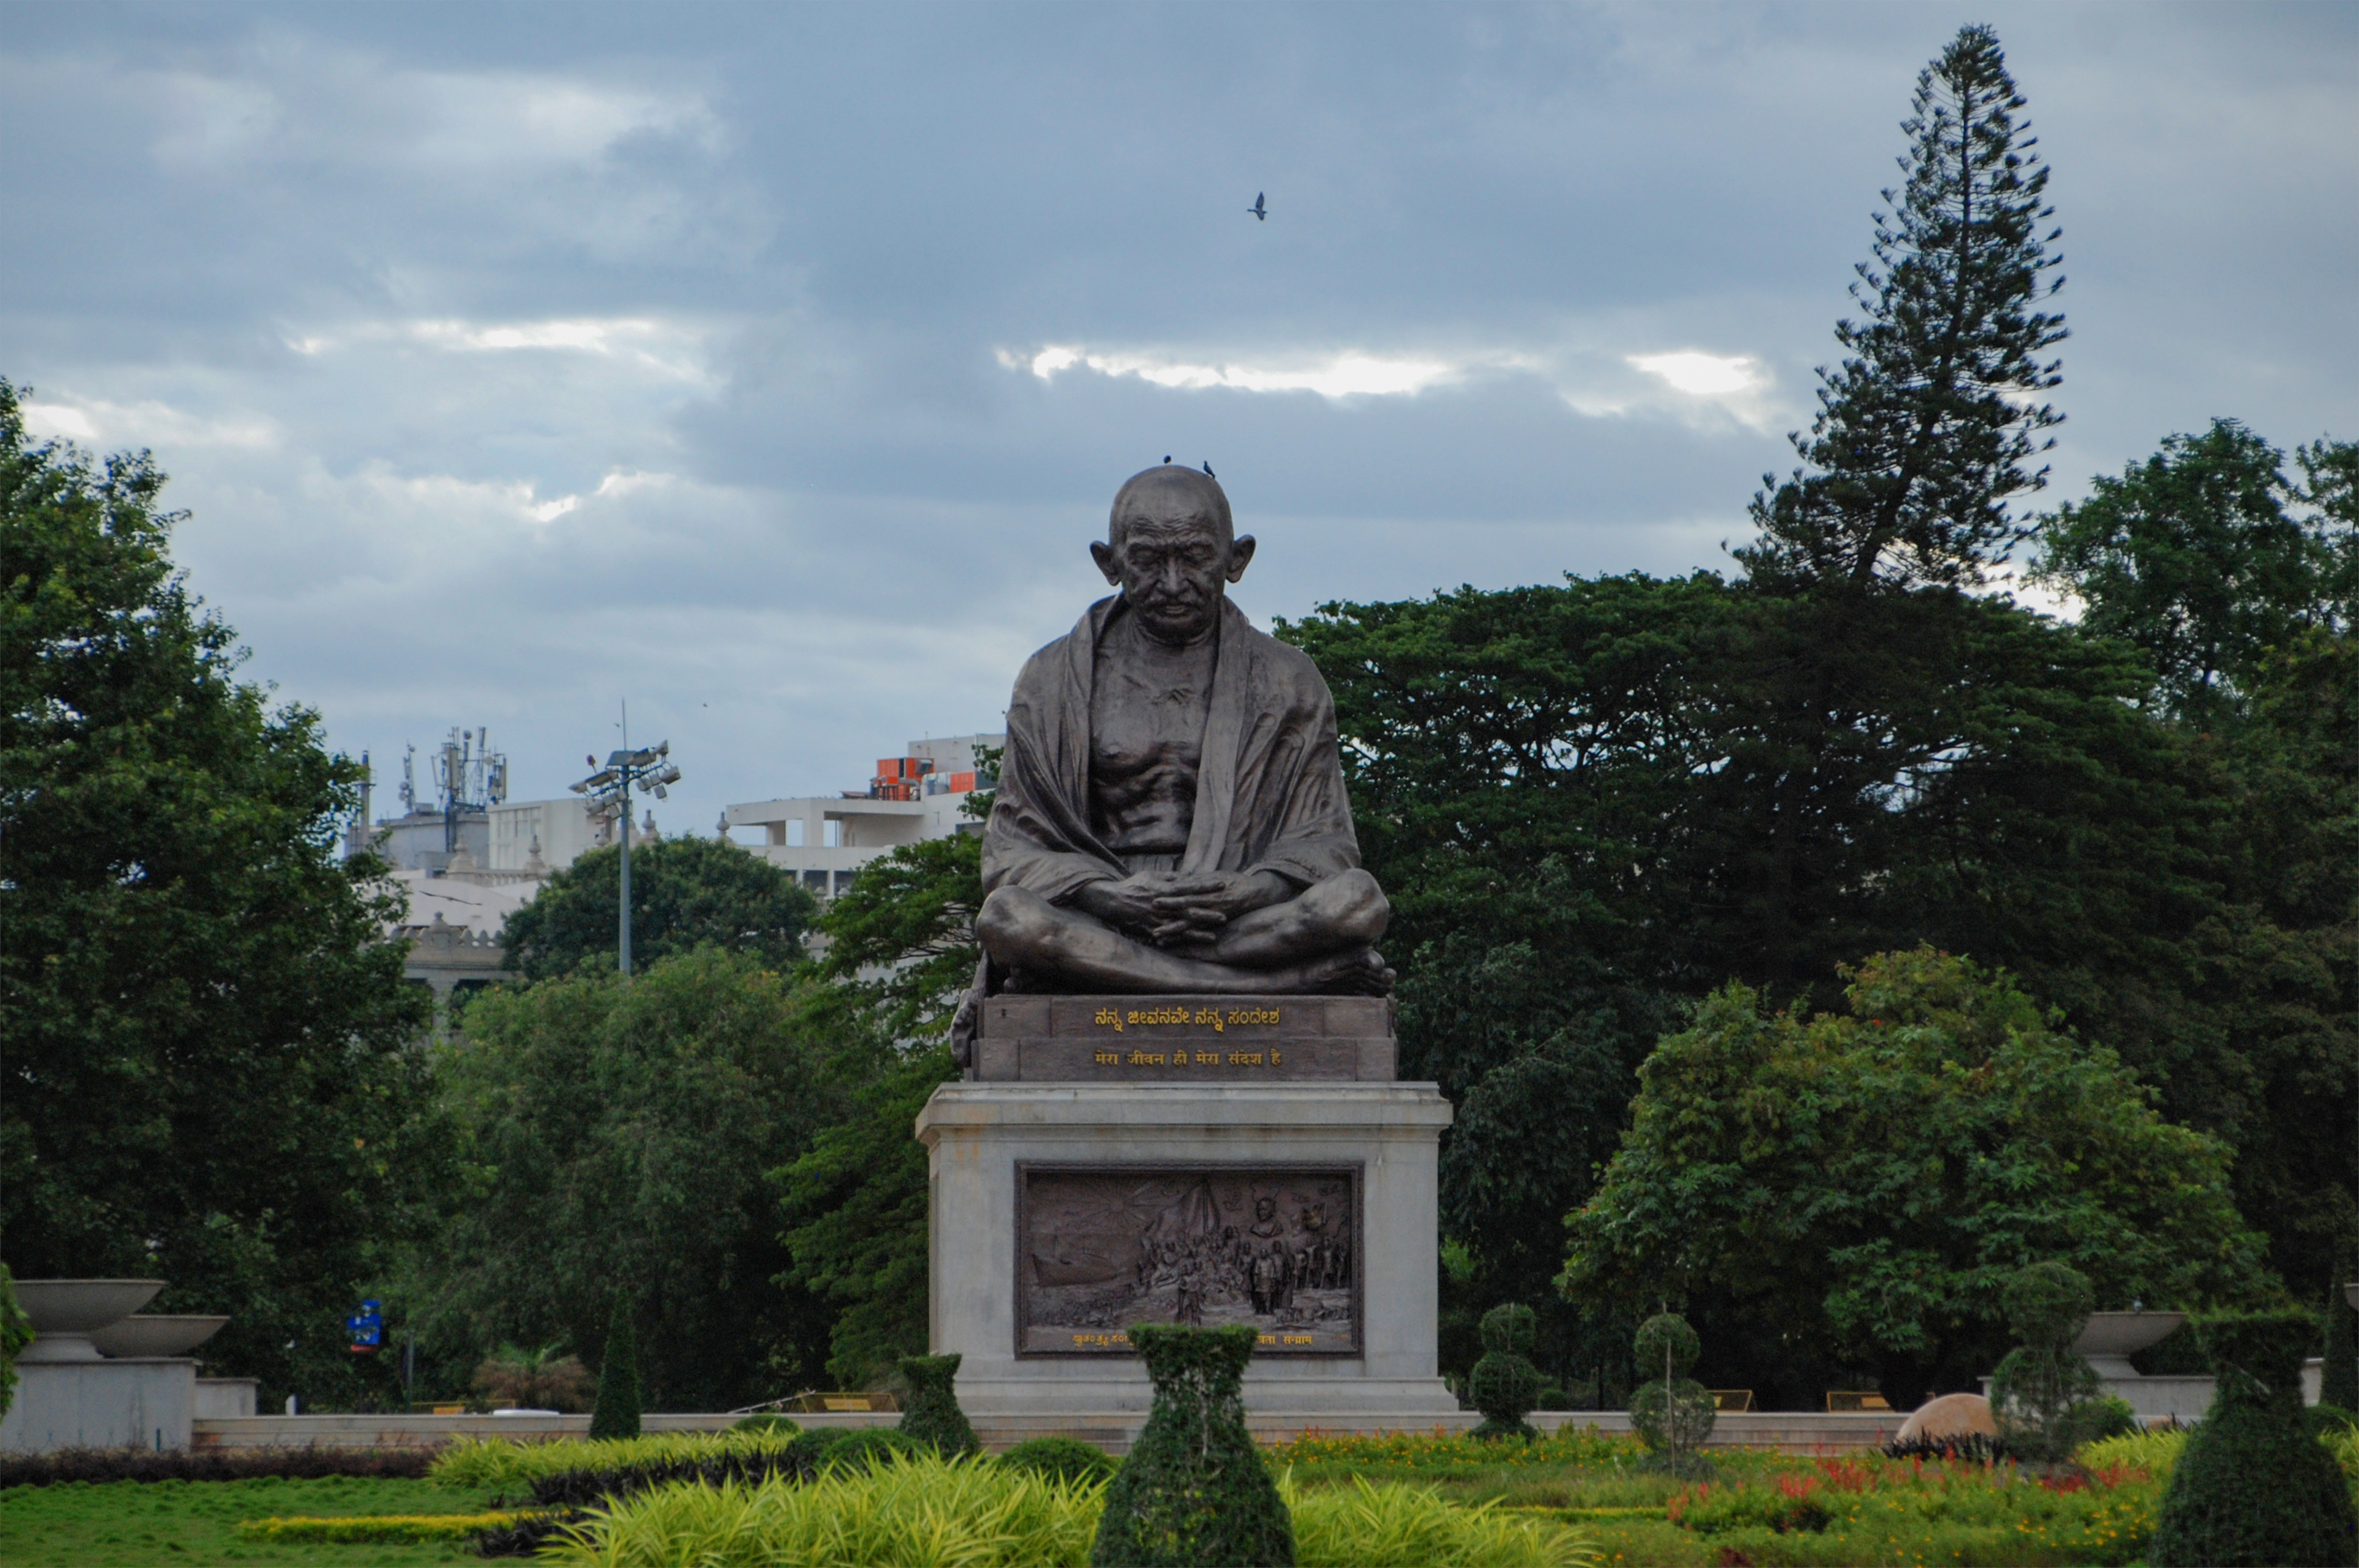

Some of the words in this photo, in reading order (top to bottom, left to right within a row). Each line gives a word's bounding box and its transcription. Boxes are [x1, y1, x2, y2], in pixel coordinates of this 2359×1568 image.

[1088, 1001, 1125, 1034] ನನ್ನ
[1123, 1003, 1194, 1028] ಜೀವನವೇ
[1191, 1003, 1227, 1035] ನನ್ನ
[1223, 1005, 1282, 1028] ಸಂದೇಶ
[1091, 1045, 1120, 1069] मेरा
[1123, 1045, 1166, 1068] जीवन
[1169, 1044, 1190, 1070] ही
[1194, 1046, 1223, 1069] मेरा
[1227, 1046, 1265, 1069] संदेश
[1265, 1043, 1286, 1067] है
[1279, 1330, 1315, 1350] सन्ग्राम